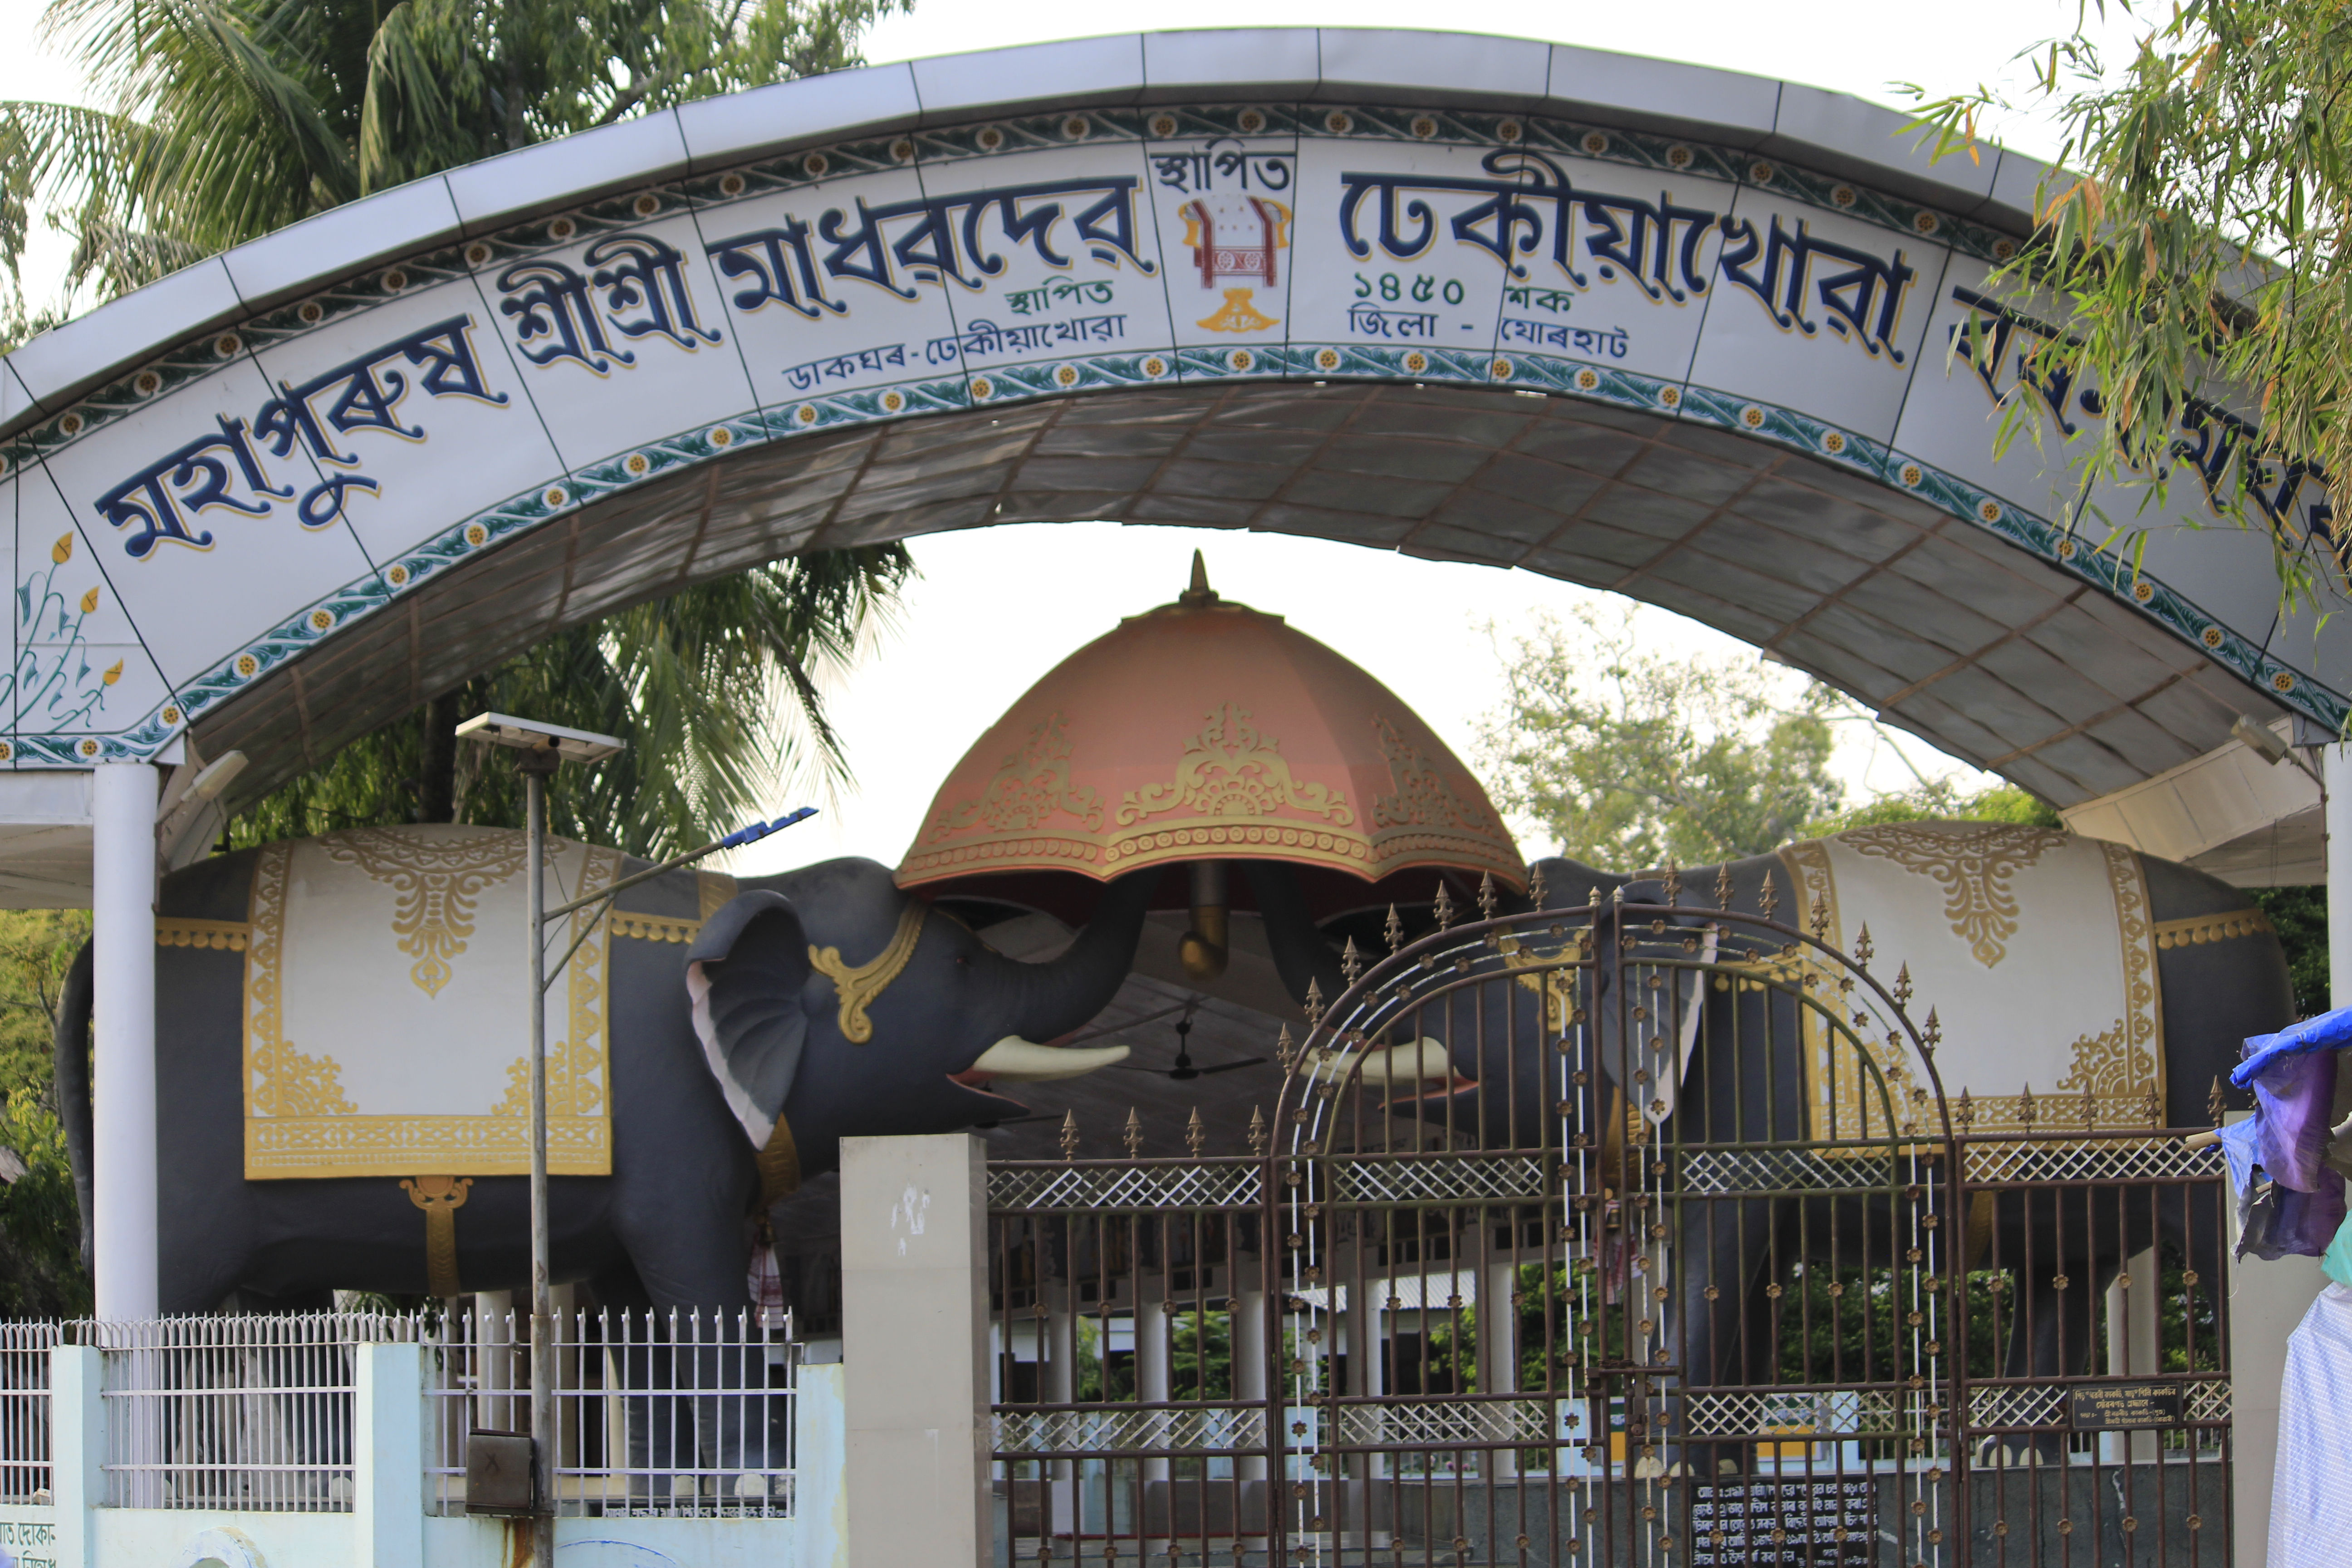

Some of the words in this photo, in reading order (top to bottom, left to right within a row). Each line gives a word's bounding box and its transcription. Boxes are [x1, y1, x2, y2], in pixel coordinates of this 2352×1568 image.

[699, 172, 1167, 328] আধরদের
[1334, 140, 1918, 366] ঢেকীয়াখোরা
[486, 225, 726, 386] শ্রীশ্রী
[922, 309, 1131, 373] ঢেকীয়াখোরা
[1002, 263, 1124, 325] স্থাপিত
[1339, 293, 1445, 344] জিলা
[1342, 266, 1468, 309] ১৪৫০
[1495, 279, 1582, 315] শক
[1492, 309, 1636, 361] যোৰহাট
[780, 337, 912, 402] ডাকঘৰ
[86, 309, 515, 570] মহাপুৰুষ
[2070, 1387, 2087, 1402] (পুত্র)
[2092, 1397, 2127, 1412] সোঁৱৰণত
[2103, 1384, 2127, 1401] কাকতি,
[2103, 1406, 2131, 1419] শ্রী বরৰীত
[2128, 1406, 2152, 1418] কাকতি-
[2149, 1383, 2178, 1400] কাকতিৰ